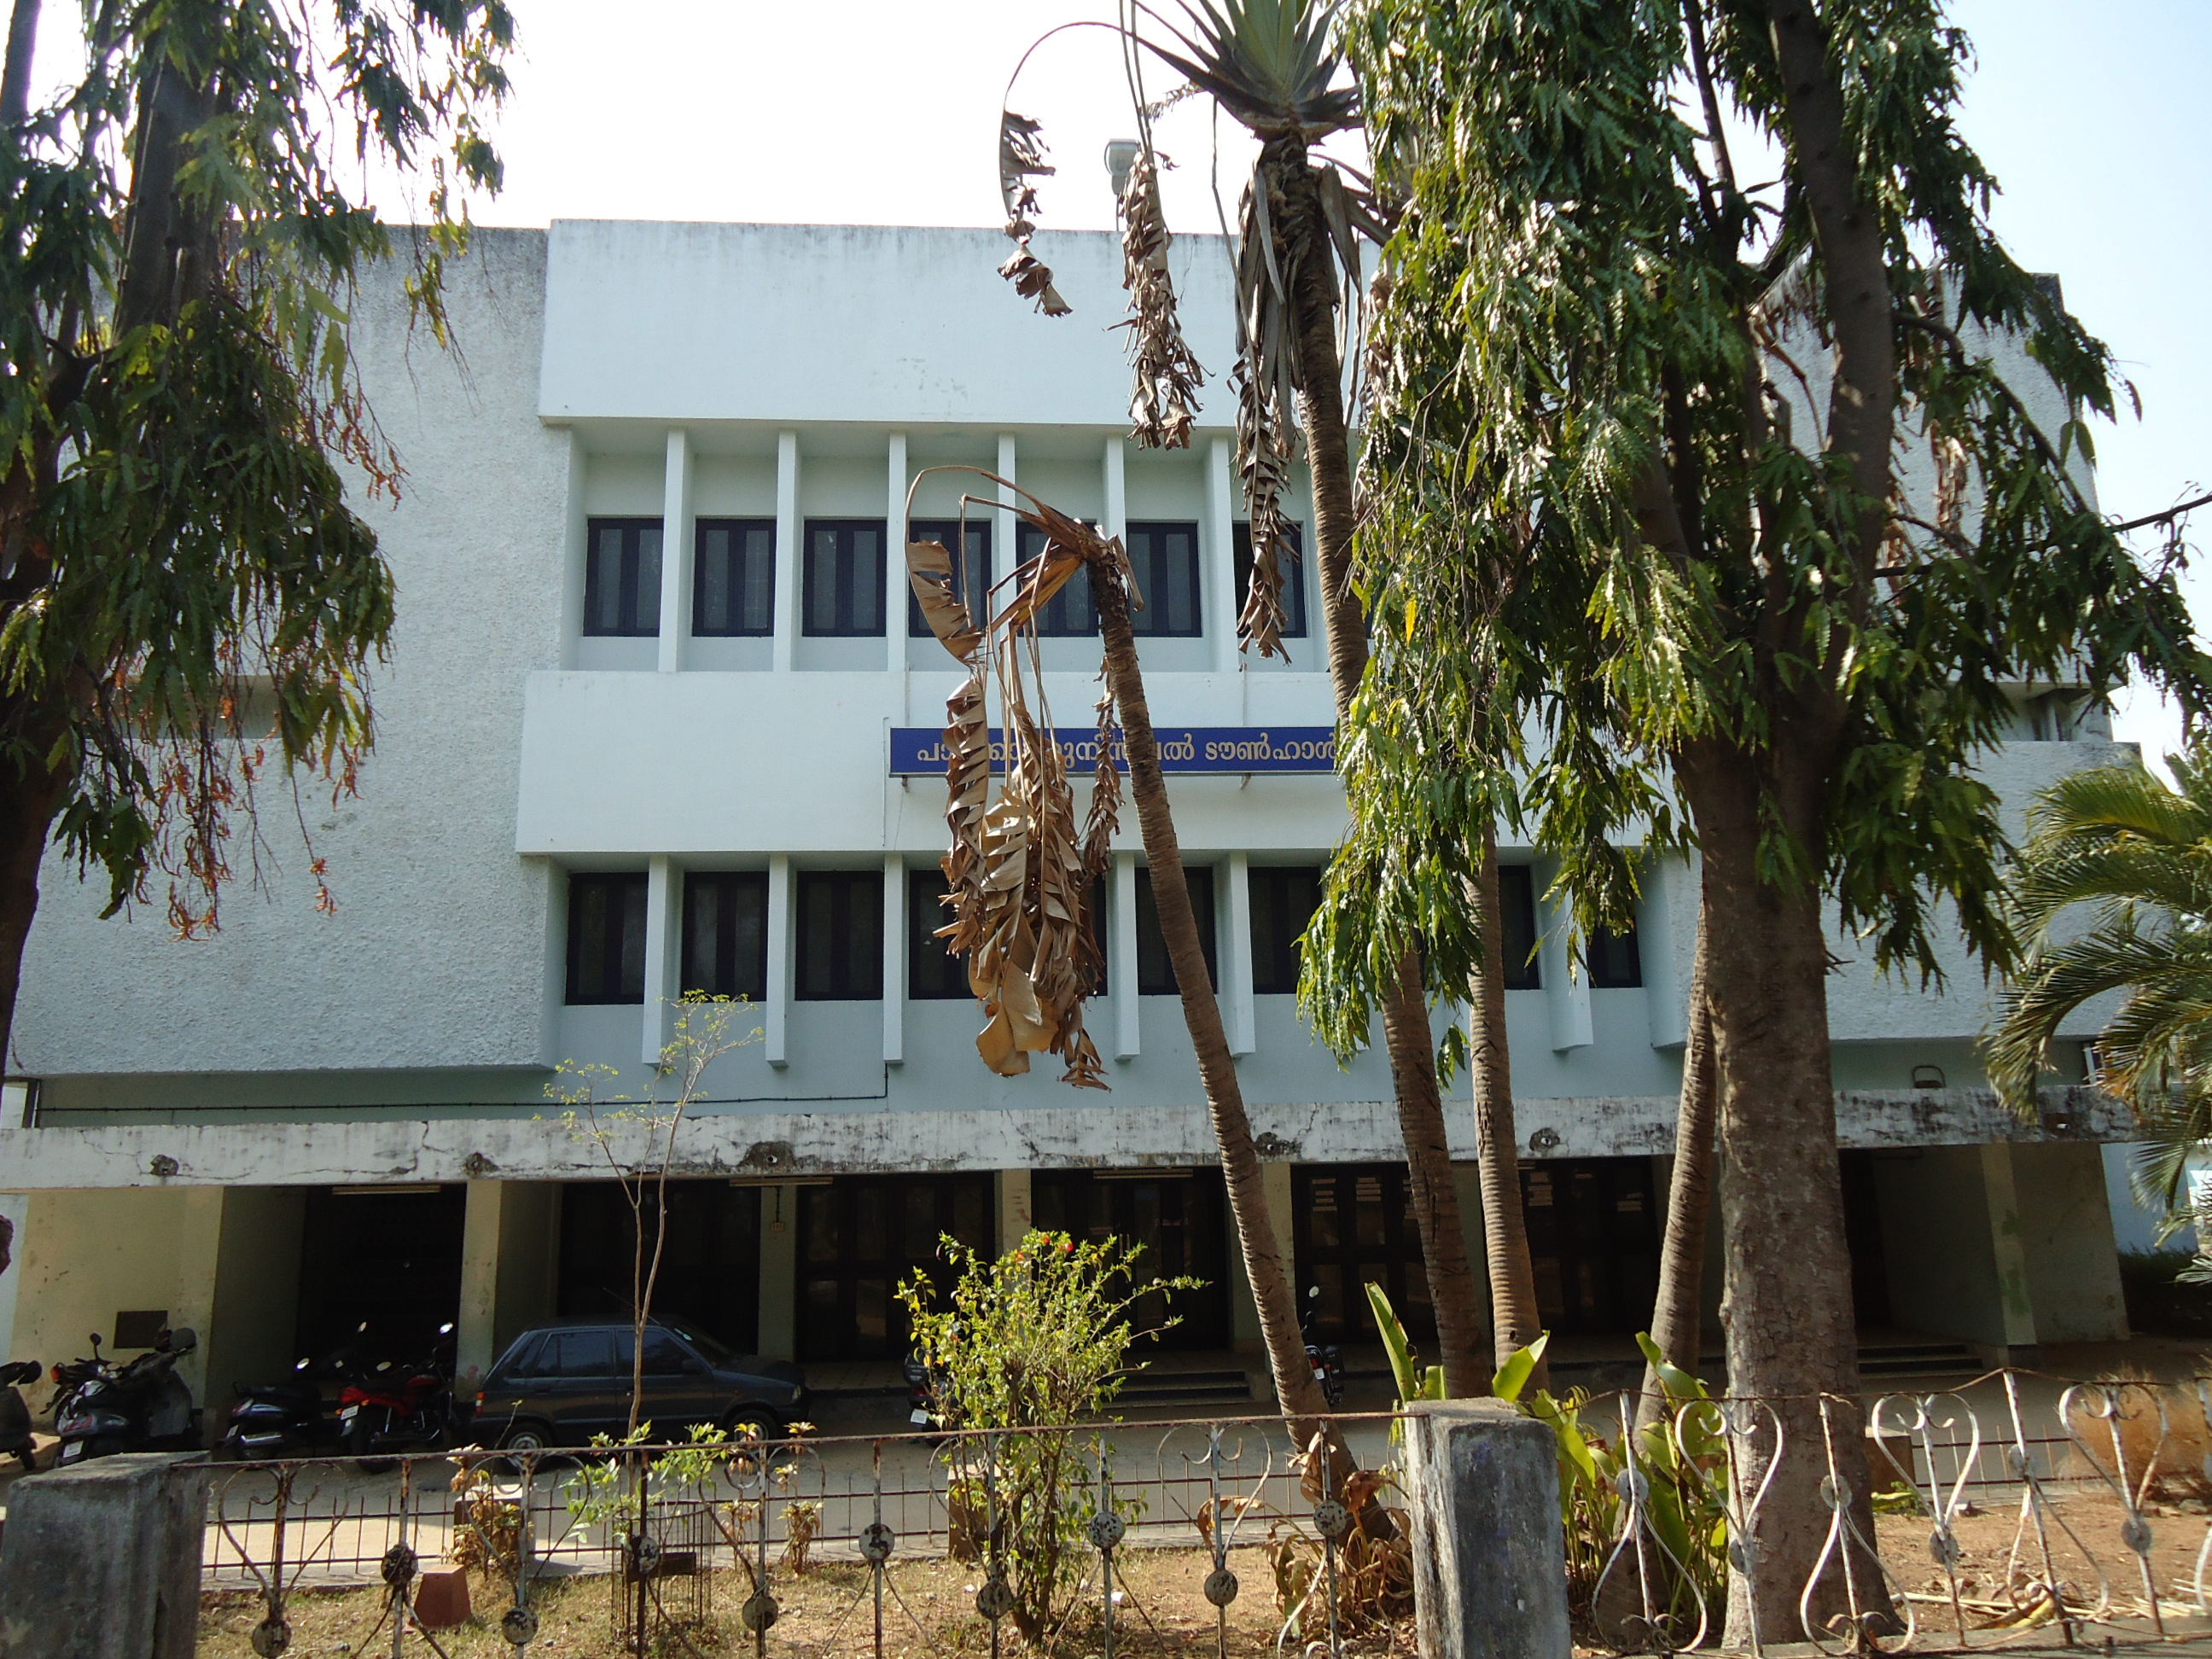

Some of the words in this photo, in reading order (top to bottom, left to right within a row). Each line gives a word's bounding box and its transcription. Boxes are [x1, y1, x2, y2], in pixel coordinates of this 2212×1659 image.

[1201, 726, 1345, 767] ടൗൺഹാൾ